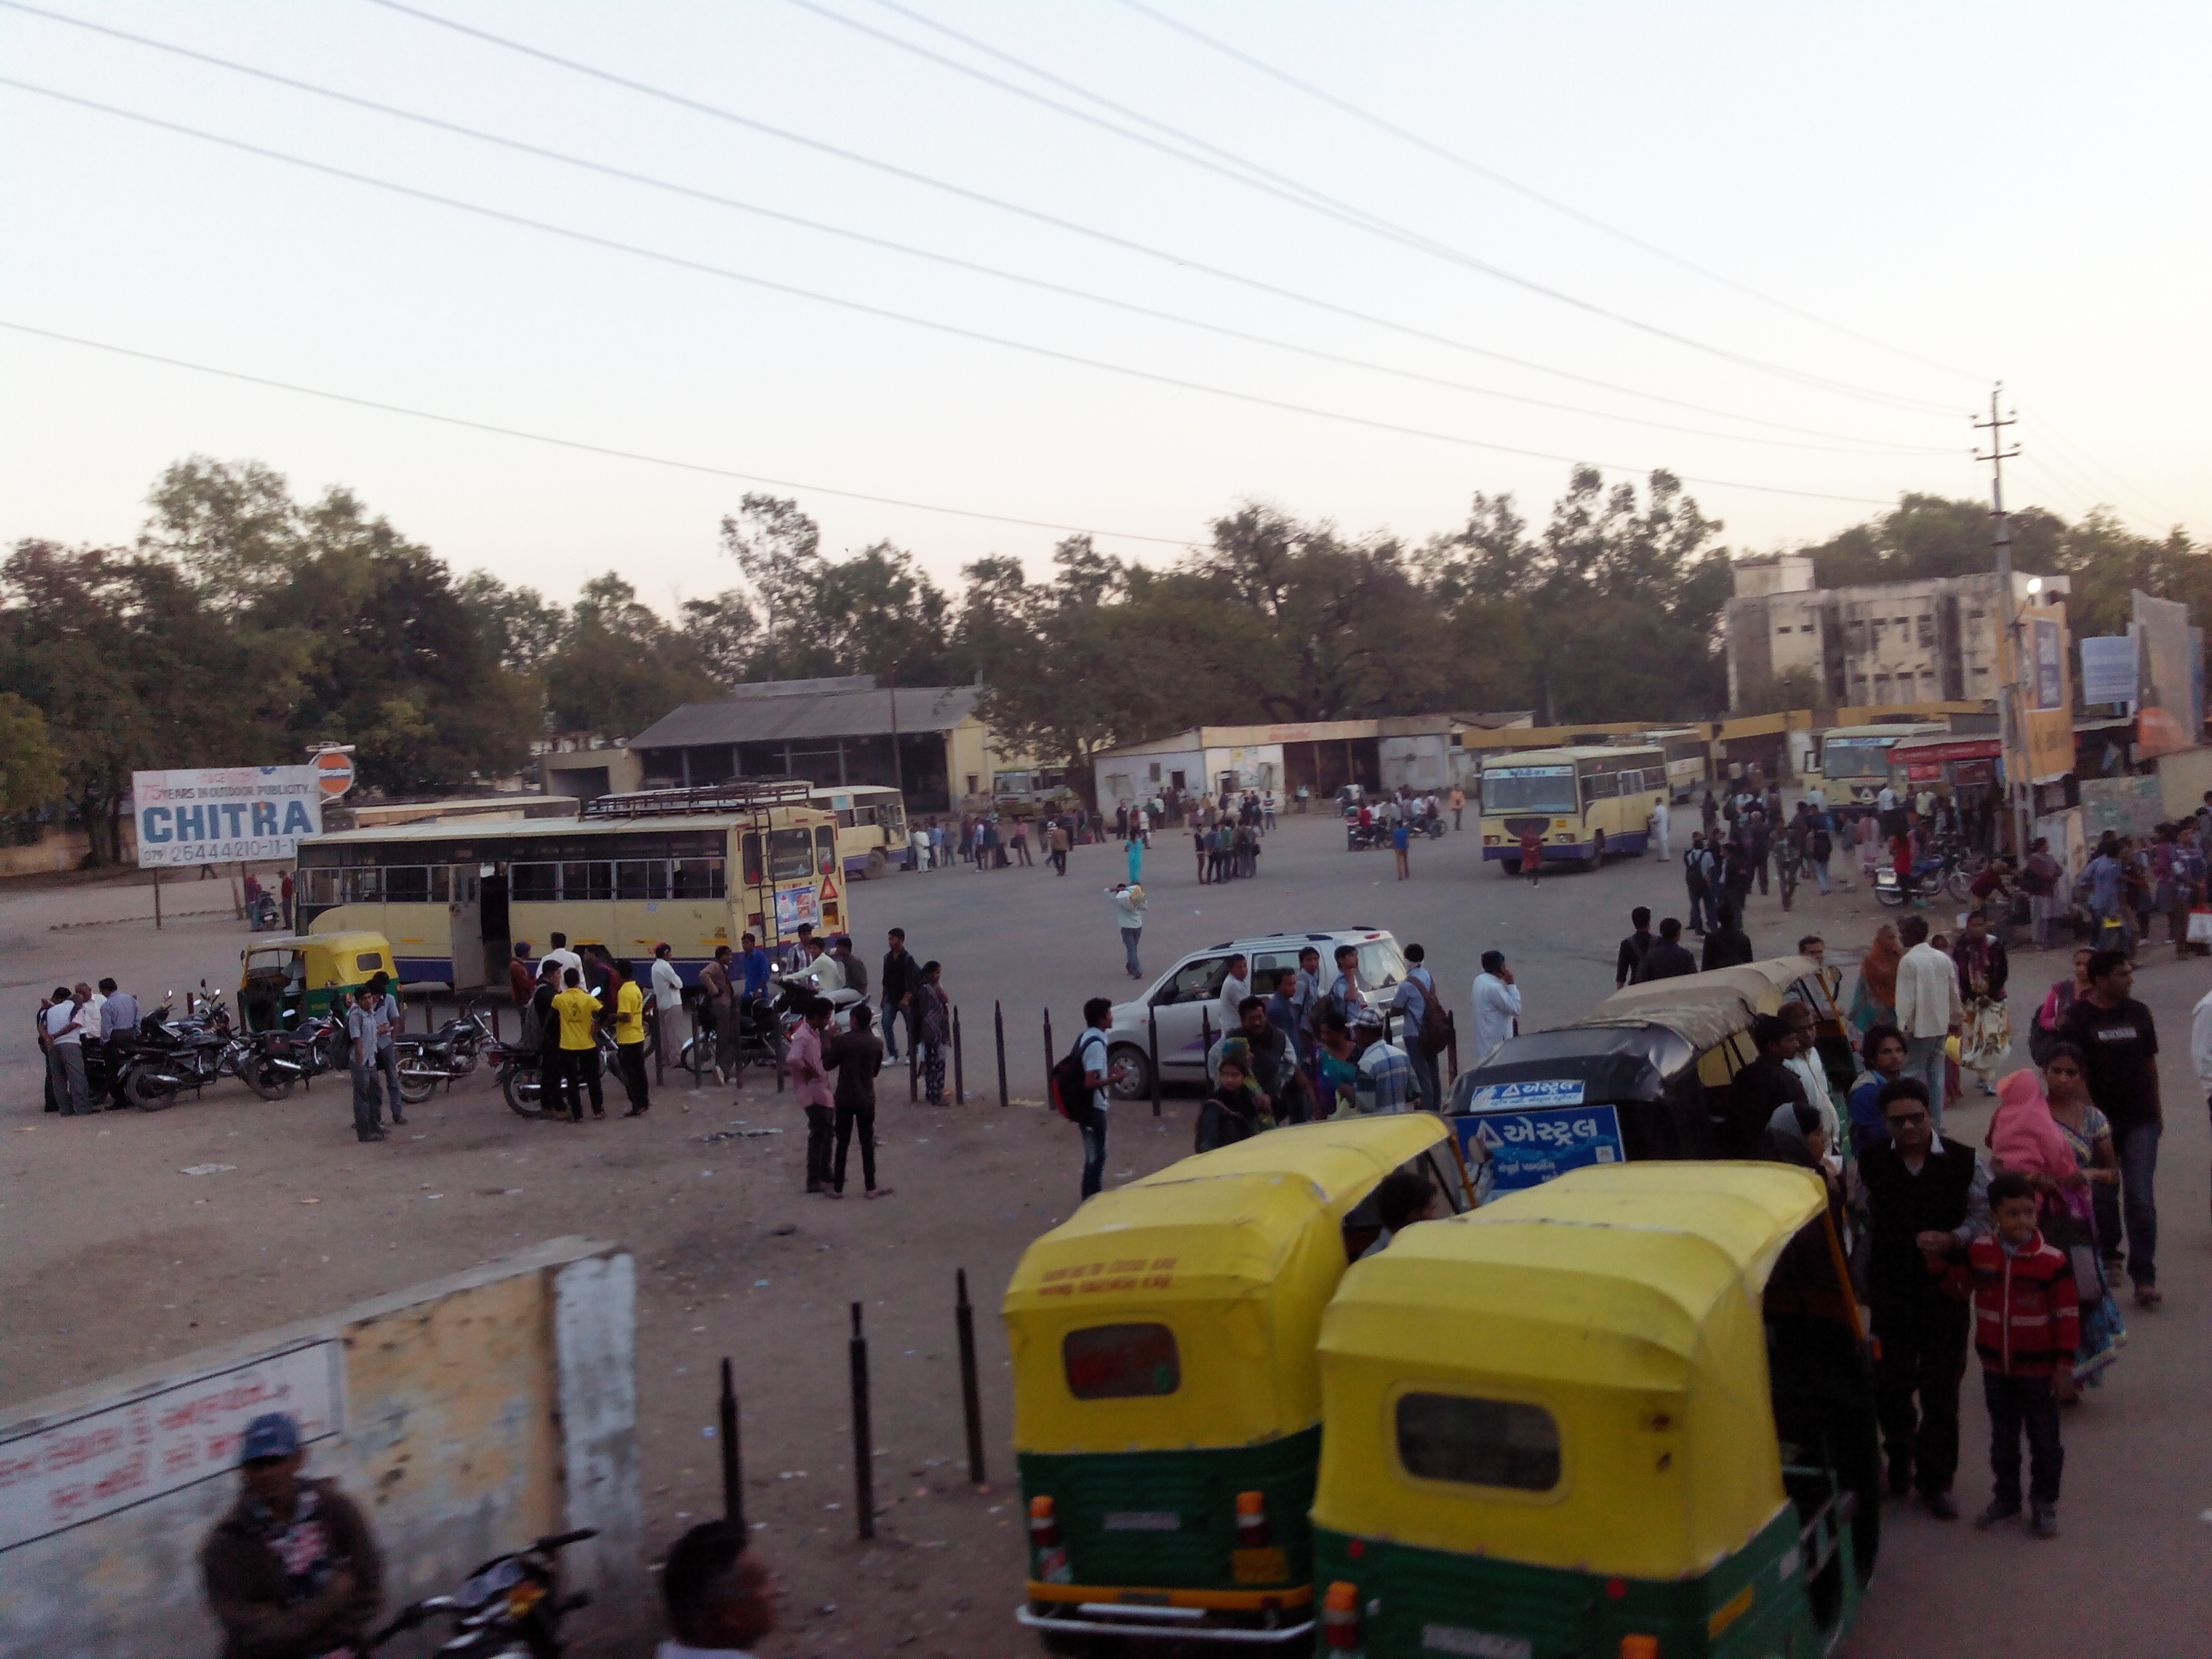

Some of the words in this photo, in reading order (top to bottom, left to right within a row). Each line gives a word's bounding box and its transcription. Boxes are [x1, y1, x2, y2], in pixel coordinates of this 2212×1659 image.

[136, 798, 321, 843] CHITRA
[166, 838, 260, 865] 26444210
[1519, 1078, 1577, 1096] એસ્ટૂલ
[1494, 1110, 1601, 1151] એસ્ટ્રલ